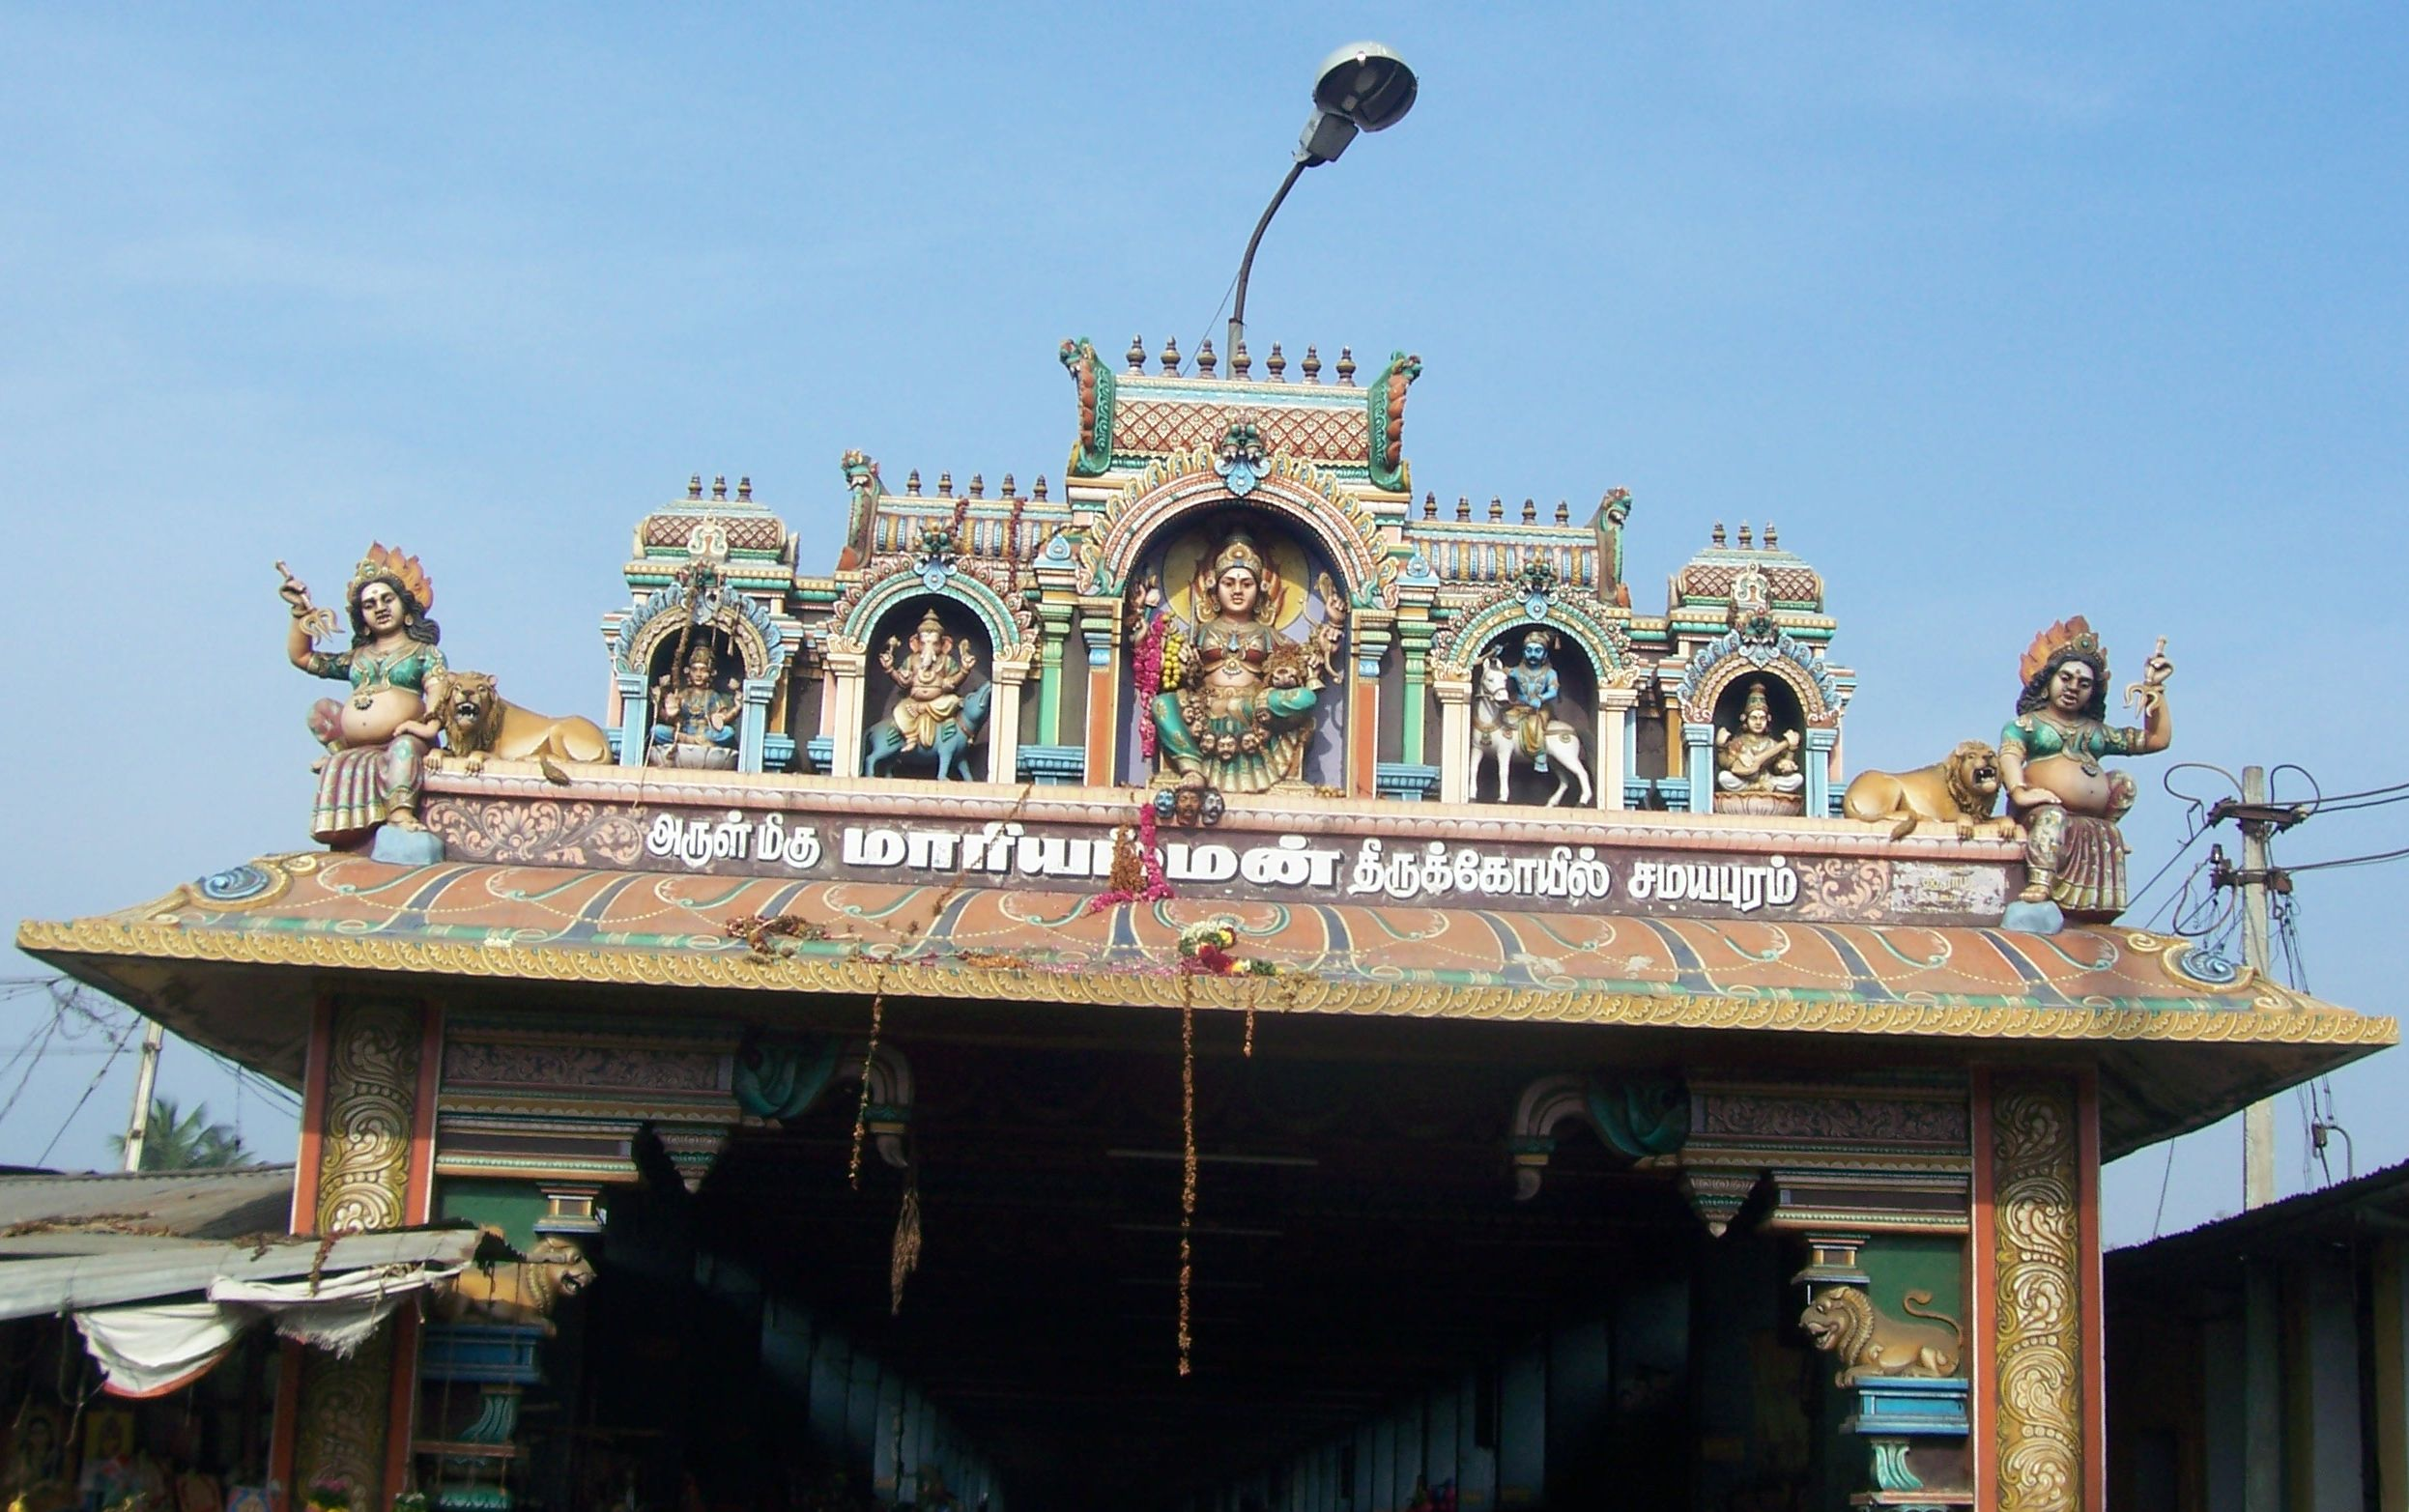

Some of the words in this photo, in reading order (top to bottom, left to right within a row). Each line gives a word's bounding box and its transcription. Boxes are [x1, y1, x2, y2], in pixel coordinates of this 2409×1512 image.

[644, 802, 825, 872] அருள்மீகு
[837, 817, 1343, 889] மாாியம்மன்
[1344, 830, 1617, 906] திருக்கோயில்
[1620, 846, 1803, 917] சமயபுரம்